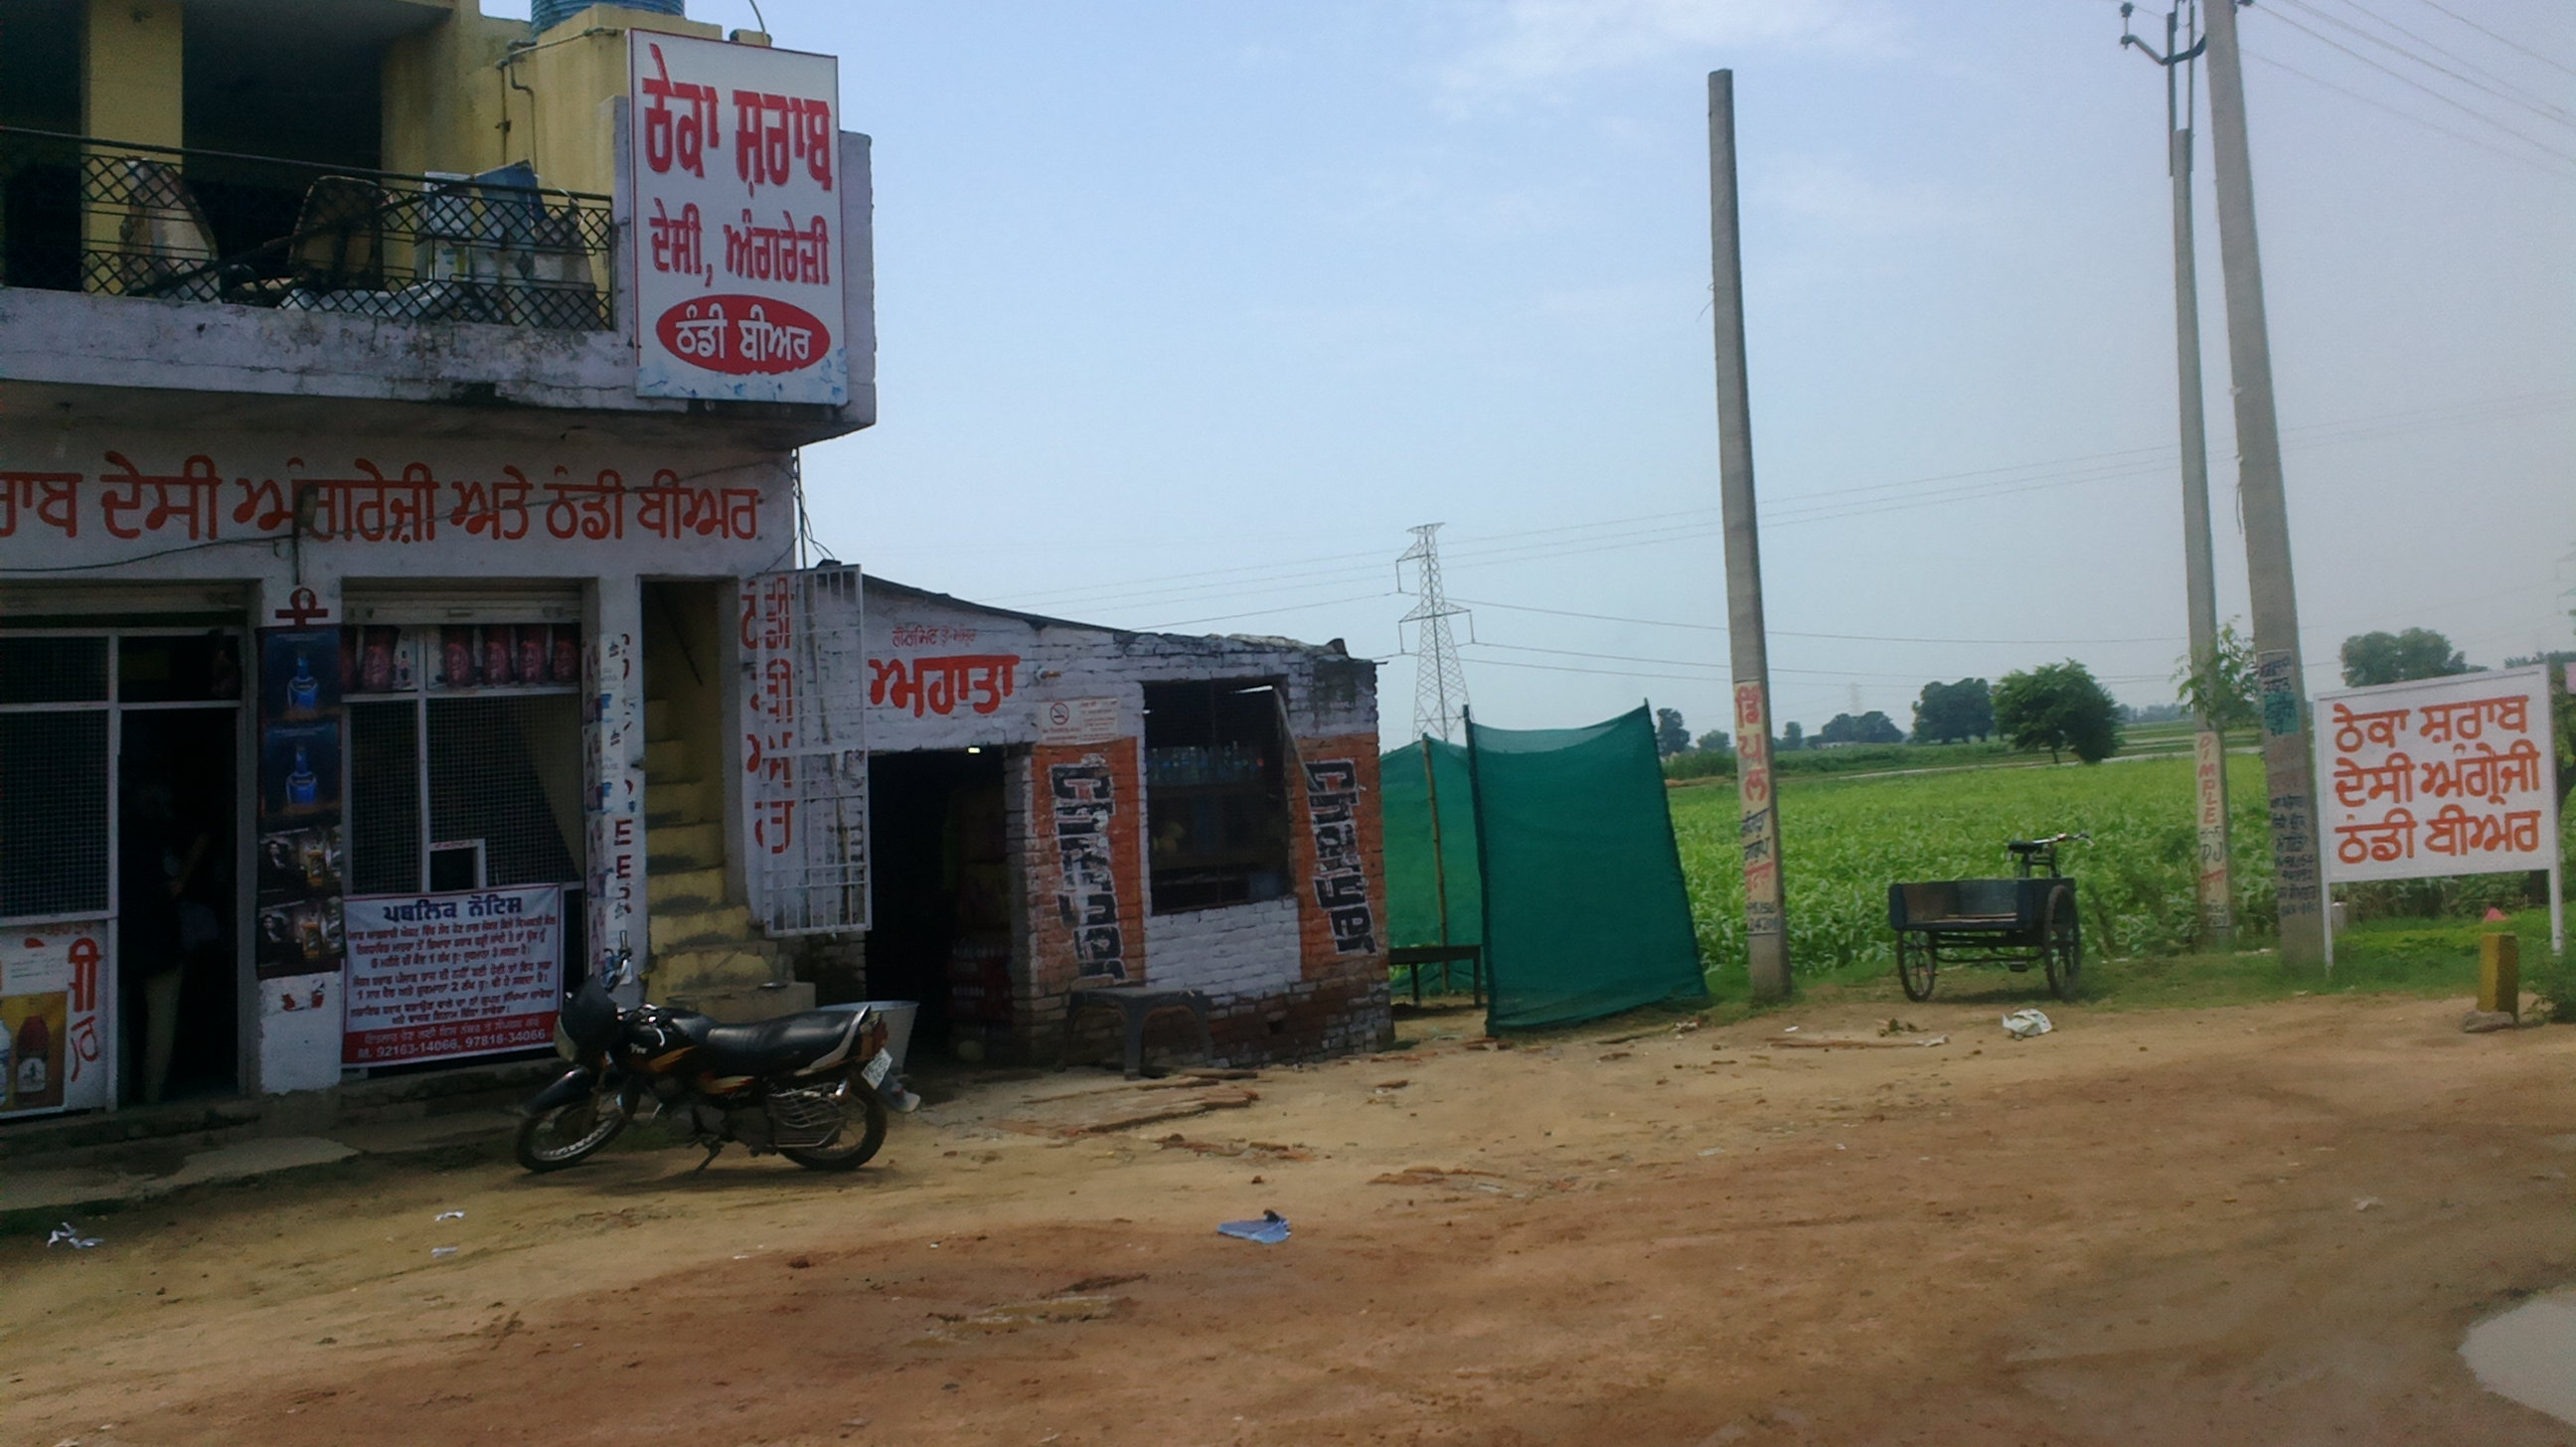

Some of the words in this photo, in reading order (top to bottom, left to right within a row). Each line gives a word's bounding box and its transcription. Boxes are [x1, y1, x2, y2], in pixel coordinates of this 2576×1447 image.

[635, 34, 727, 190] ਠੇਕਾ
[727, 74, 837, 203] ਸਰਾਬ
[641, 186, 717, 294] रेमी,
[715, 200, 840, 296] ਅੰਗਰੇਜੀ
[665, 295, 731, 370] ਠੰਡੀ
[734, 295, 825, 371] ਬੀਅਰ
[0, 458, 91, 549] ਰਾਬ
[83, 429, 230, 551] ਦੇਸੀ
[222, 442, 446, 562] ਅੰਗਰੇਜ਼ੀ
[446, 452, 539, 561] ਅਡੇ
[538, 452, 632, 555] ਠੰਡੀ
[628, 462, 771, 557] ਬੀਅਰ
[860, 646, 1029, 729] ਅਹਾਤਾ
[1734, 679, 1771, 805] ਡਿੰਪਲ
[2194, 732, 2223, 827] DIMPLE
[2325, 697, 2415, 754] ਠੇਕਾ
[2324, 745, 2420, 814] ਦੇਸी
[2413, 685, 2540, 749] ਸ਼ਰਾਥ
[2417, 735, 2553, 808] ਅੰਗ੍ਰੇਜੀ
[378, 892, 460, 926] ਪਬਲਿਕ
[462, 889, 525, 918] ਨੋਟਿਸ
[1043, 749, 1132, 989] Charger
[1295, 744, 1382, 965] Charger
[2323, 805, 2424, 872] ਠੰਡੀ
[2424, 798, 2555, 866] ਬੀਅਰ